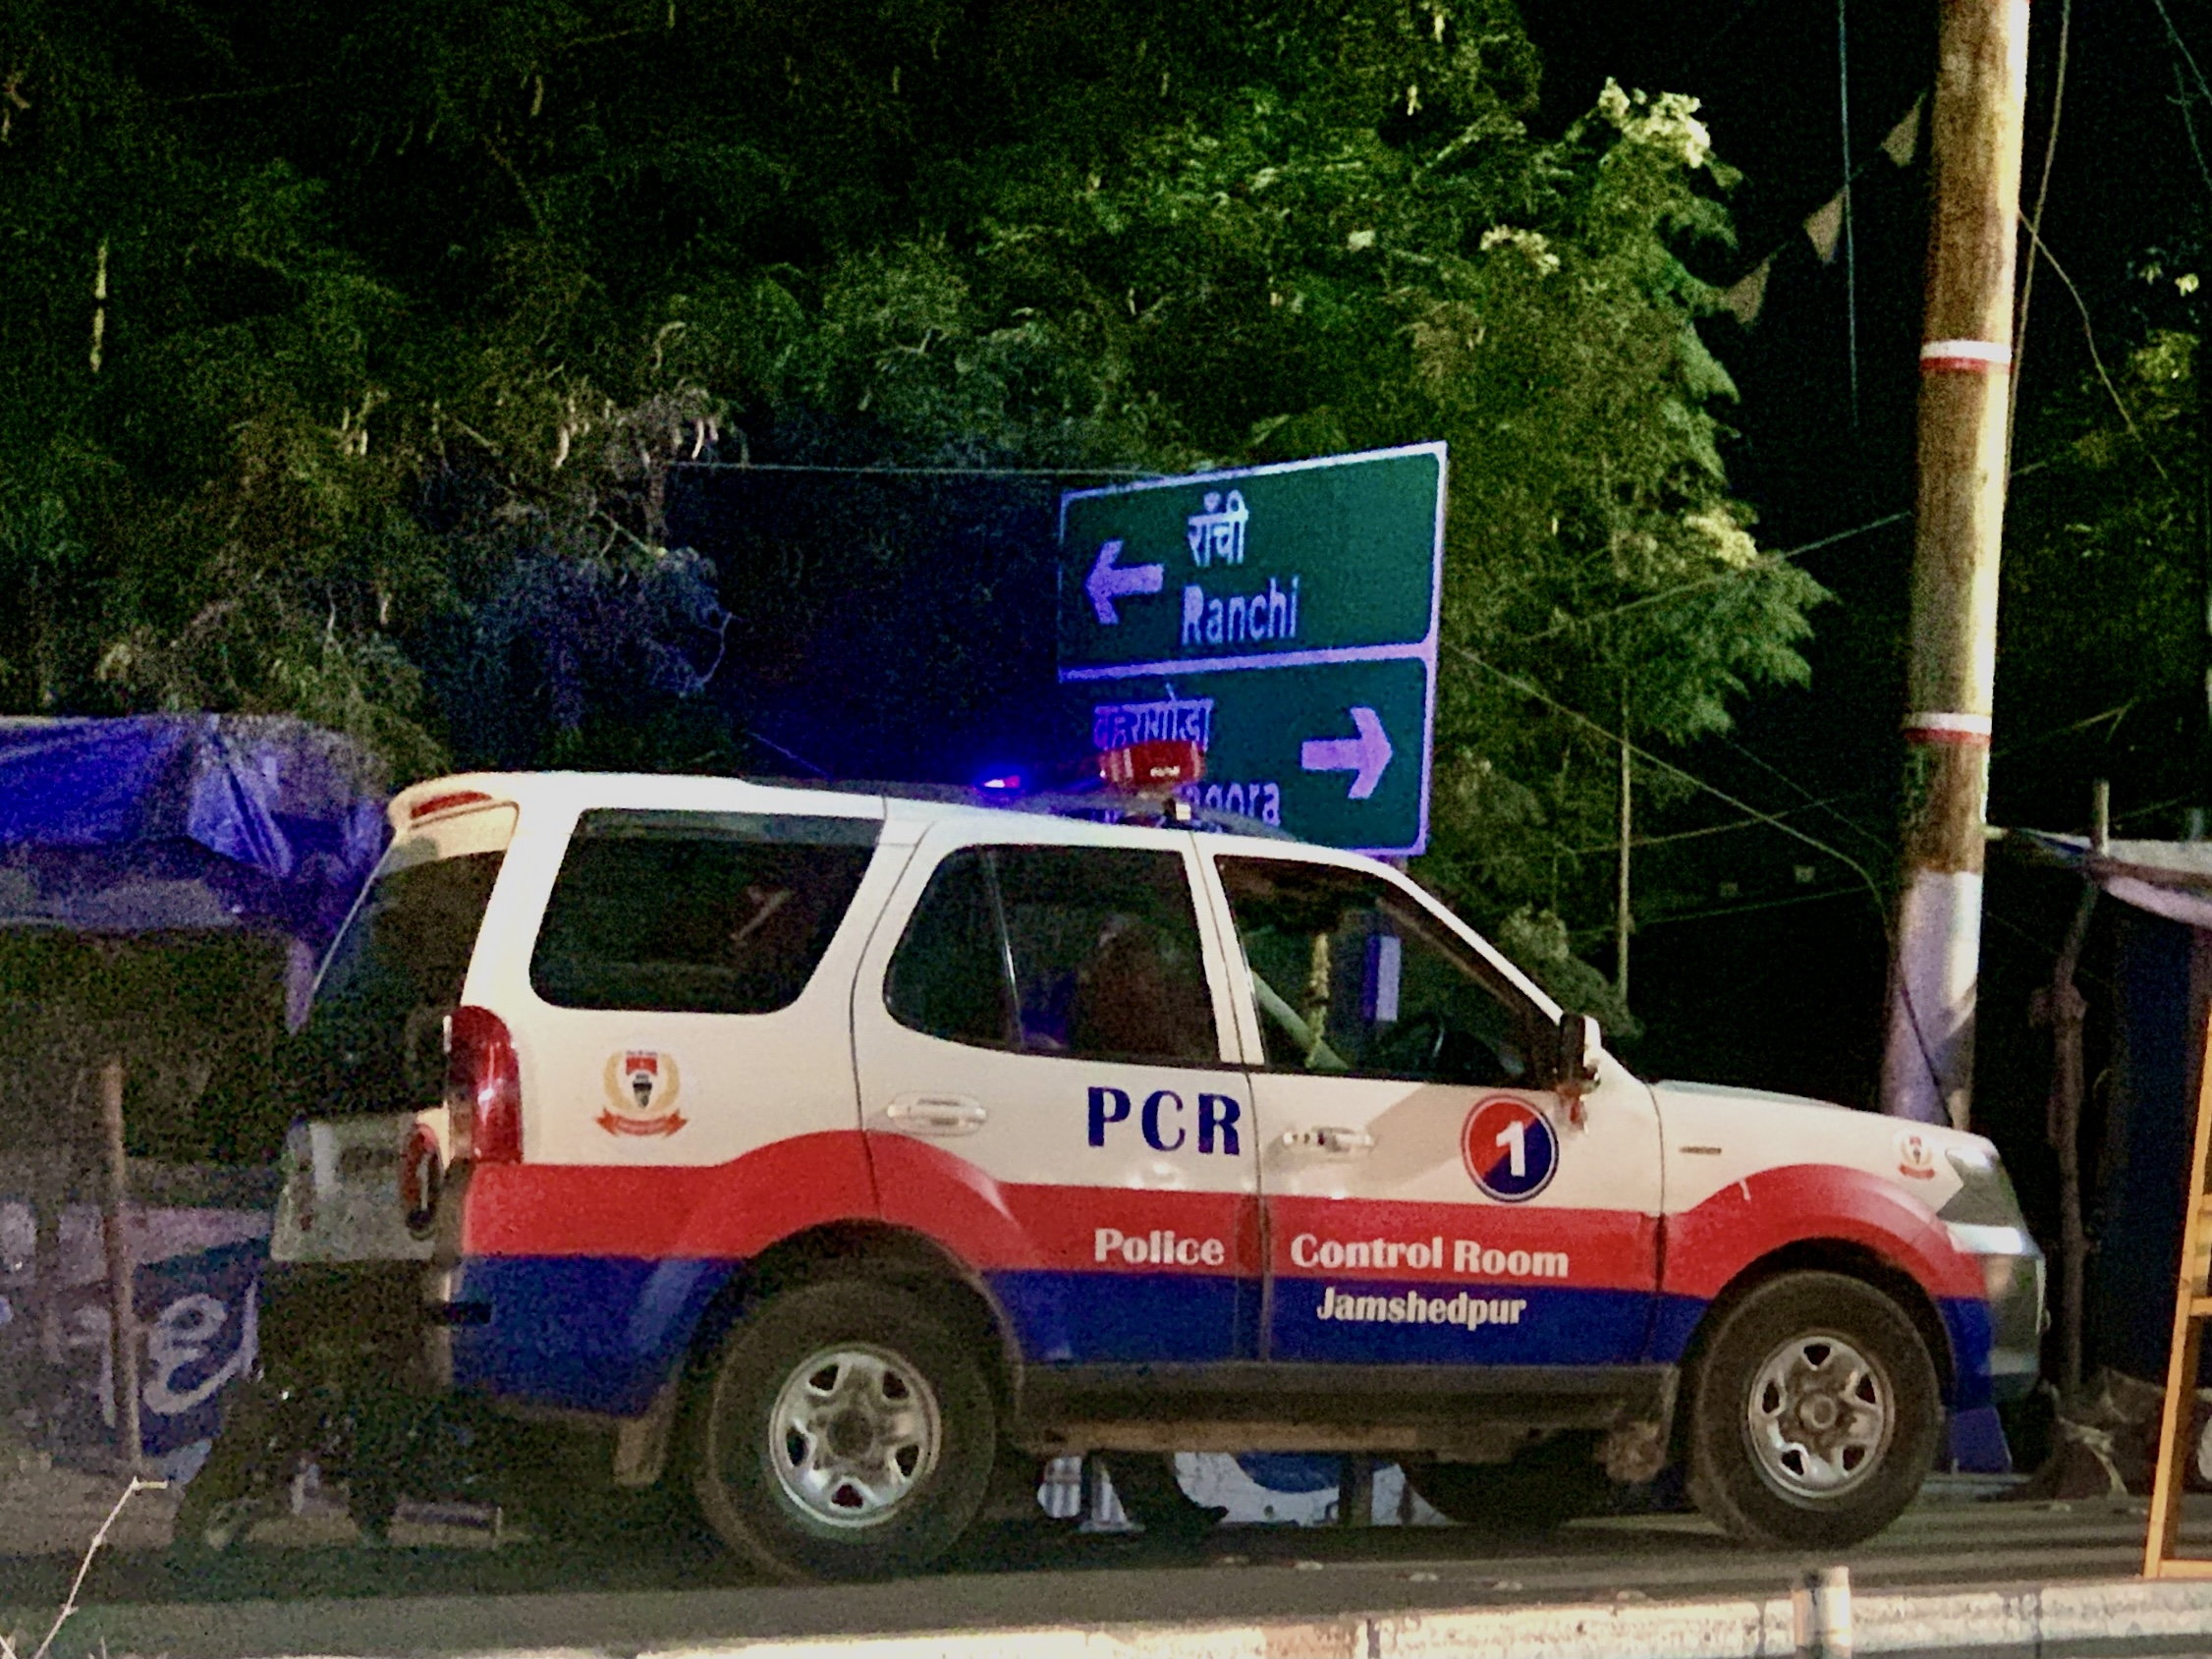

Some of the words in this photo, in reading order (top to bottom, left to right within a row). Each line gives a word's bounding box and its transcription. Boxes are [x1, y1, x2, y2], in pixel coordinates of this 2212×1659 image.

[1186, 486, 1253, 576] राँची
[1180, 573, 1303, 653] Ranchi
[1085, 681, 1217, 766] बहरागोडा
[1079, 1078, 1246, 1159] PCR
[1090, 1224, 1227, 1271] Police
[1282, 1227, 1447, 1274] Control
[1449, 1235, 1573, 1284] Room
[1310, 1287, 1529, 1339] Jamshedpur